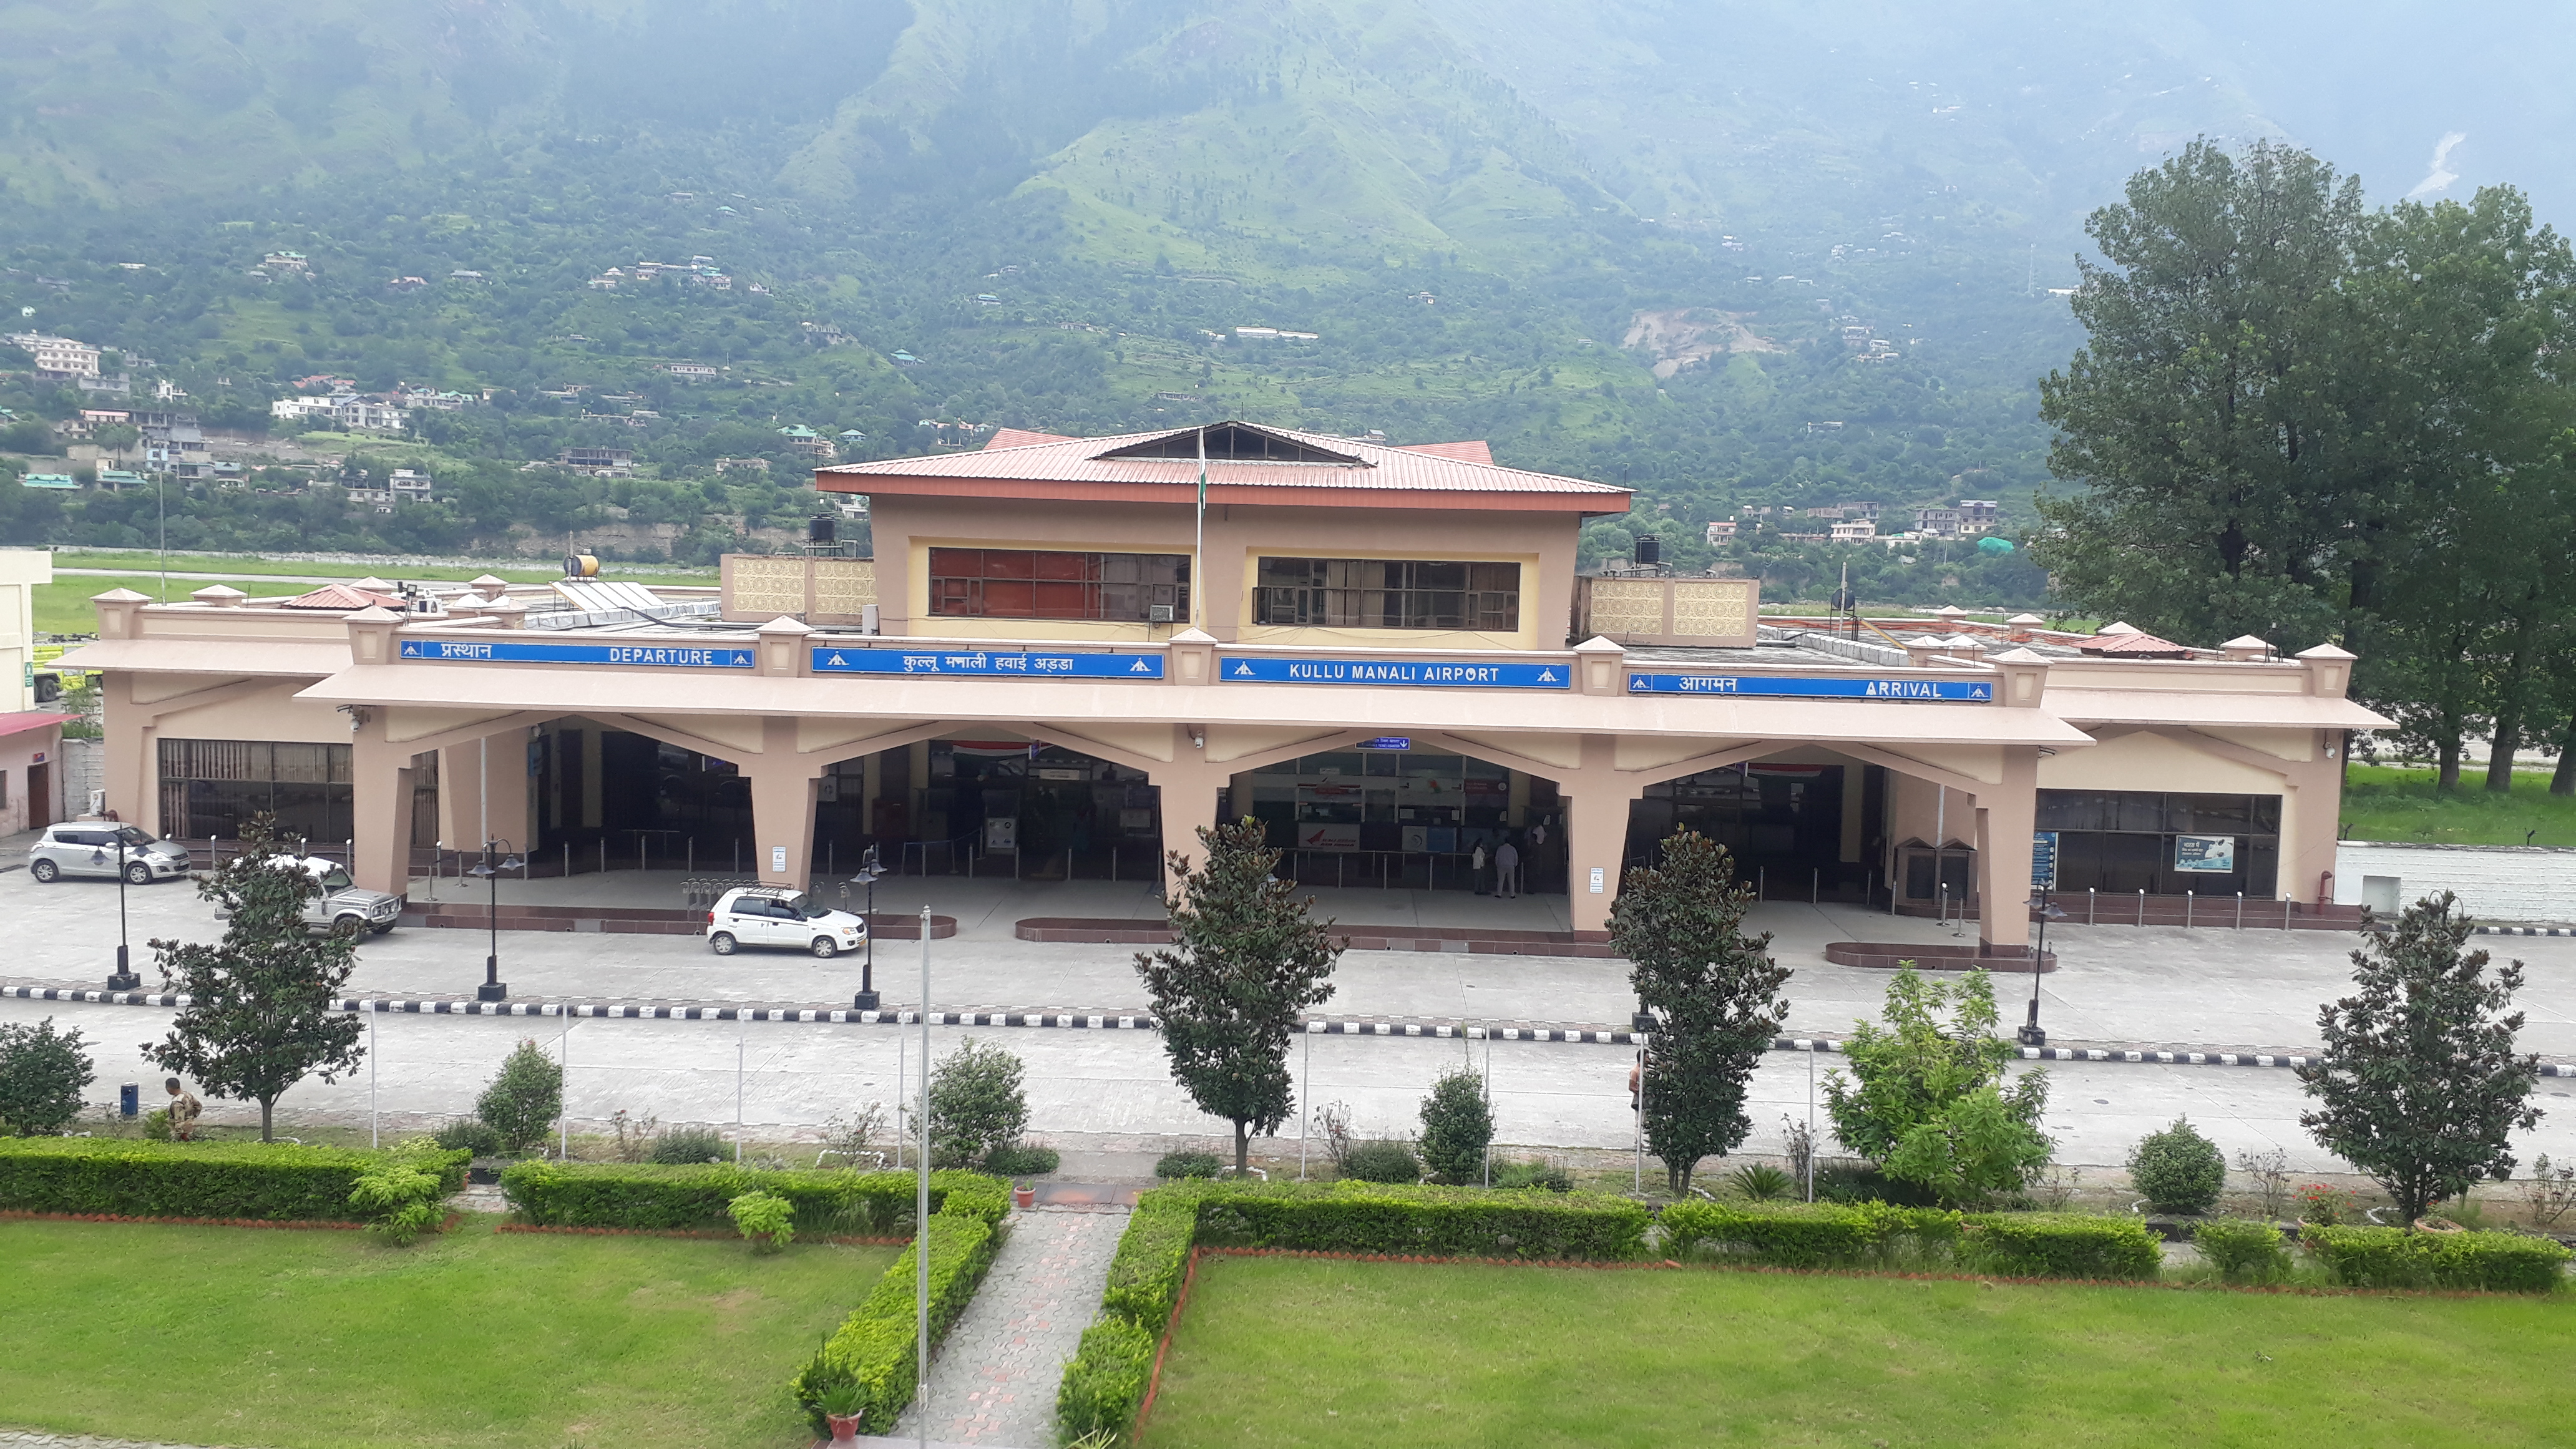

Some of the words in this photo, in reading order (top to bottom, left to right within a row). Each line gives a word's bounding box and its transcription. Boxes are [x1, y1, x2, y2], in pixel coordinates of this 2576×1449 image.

[438, 639, 494, 659] प्रस्‍थान
[607, 643, 715, 666] DEPARTURE
[903, 652, 942, 674] कुल्लू
[945, 648, 989, 671] मनाली
[992, 649, 1029, 672] हवाई
[1030, 655, 1076, 677] अड्डा
[1286, 661, 1347, 682] KULLU
[1349, 663, 1418, 682] MANALI
[1422, 663, 1501, 683] AIRPORT
[1677, 673, 1740, 696] आगमन
[1864, 680, 1943, 699] ARRIVAL